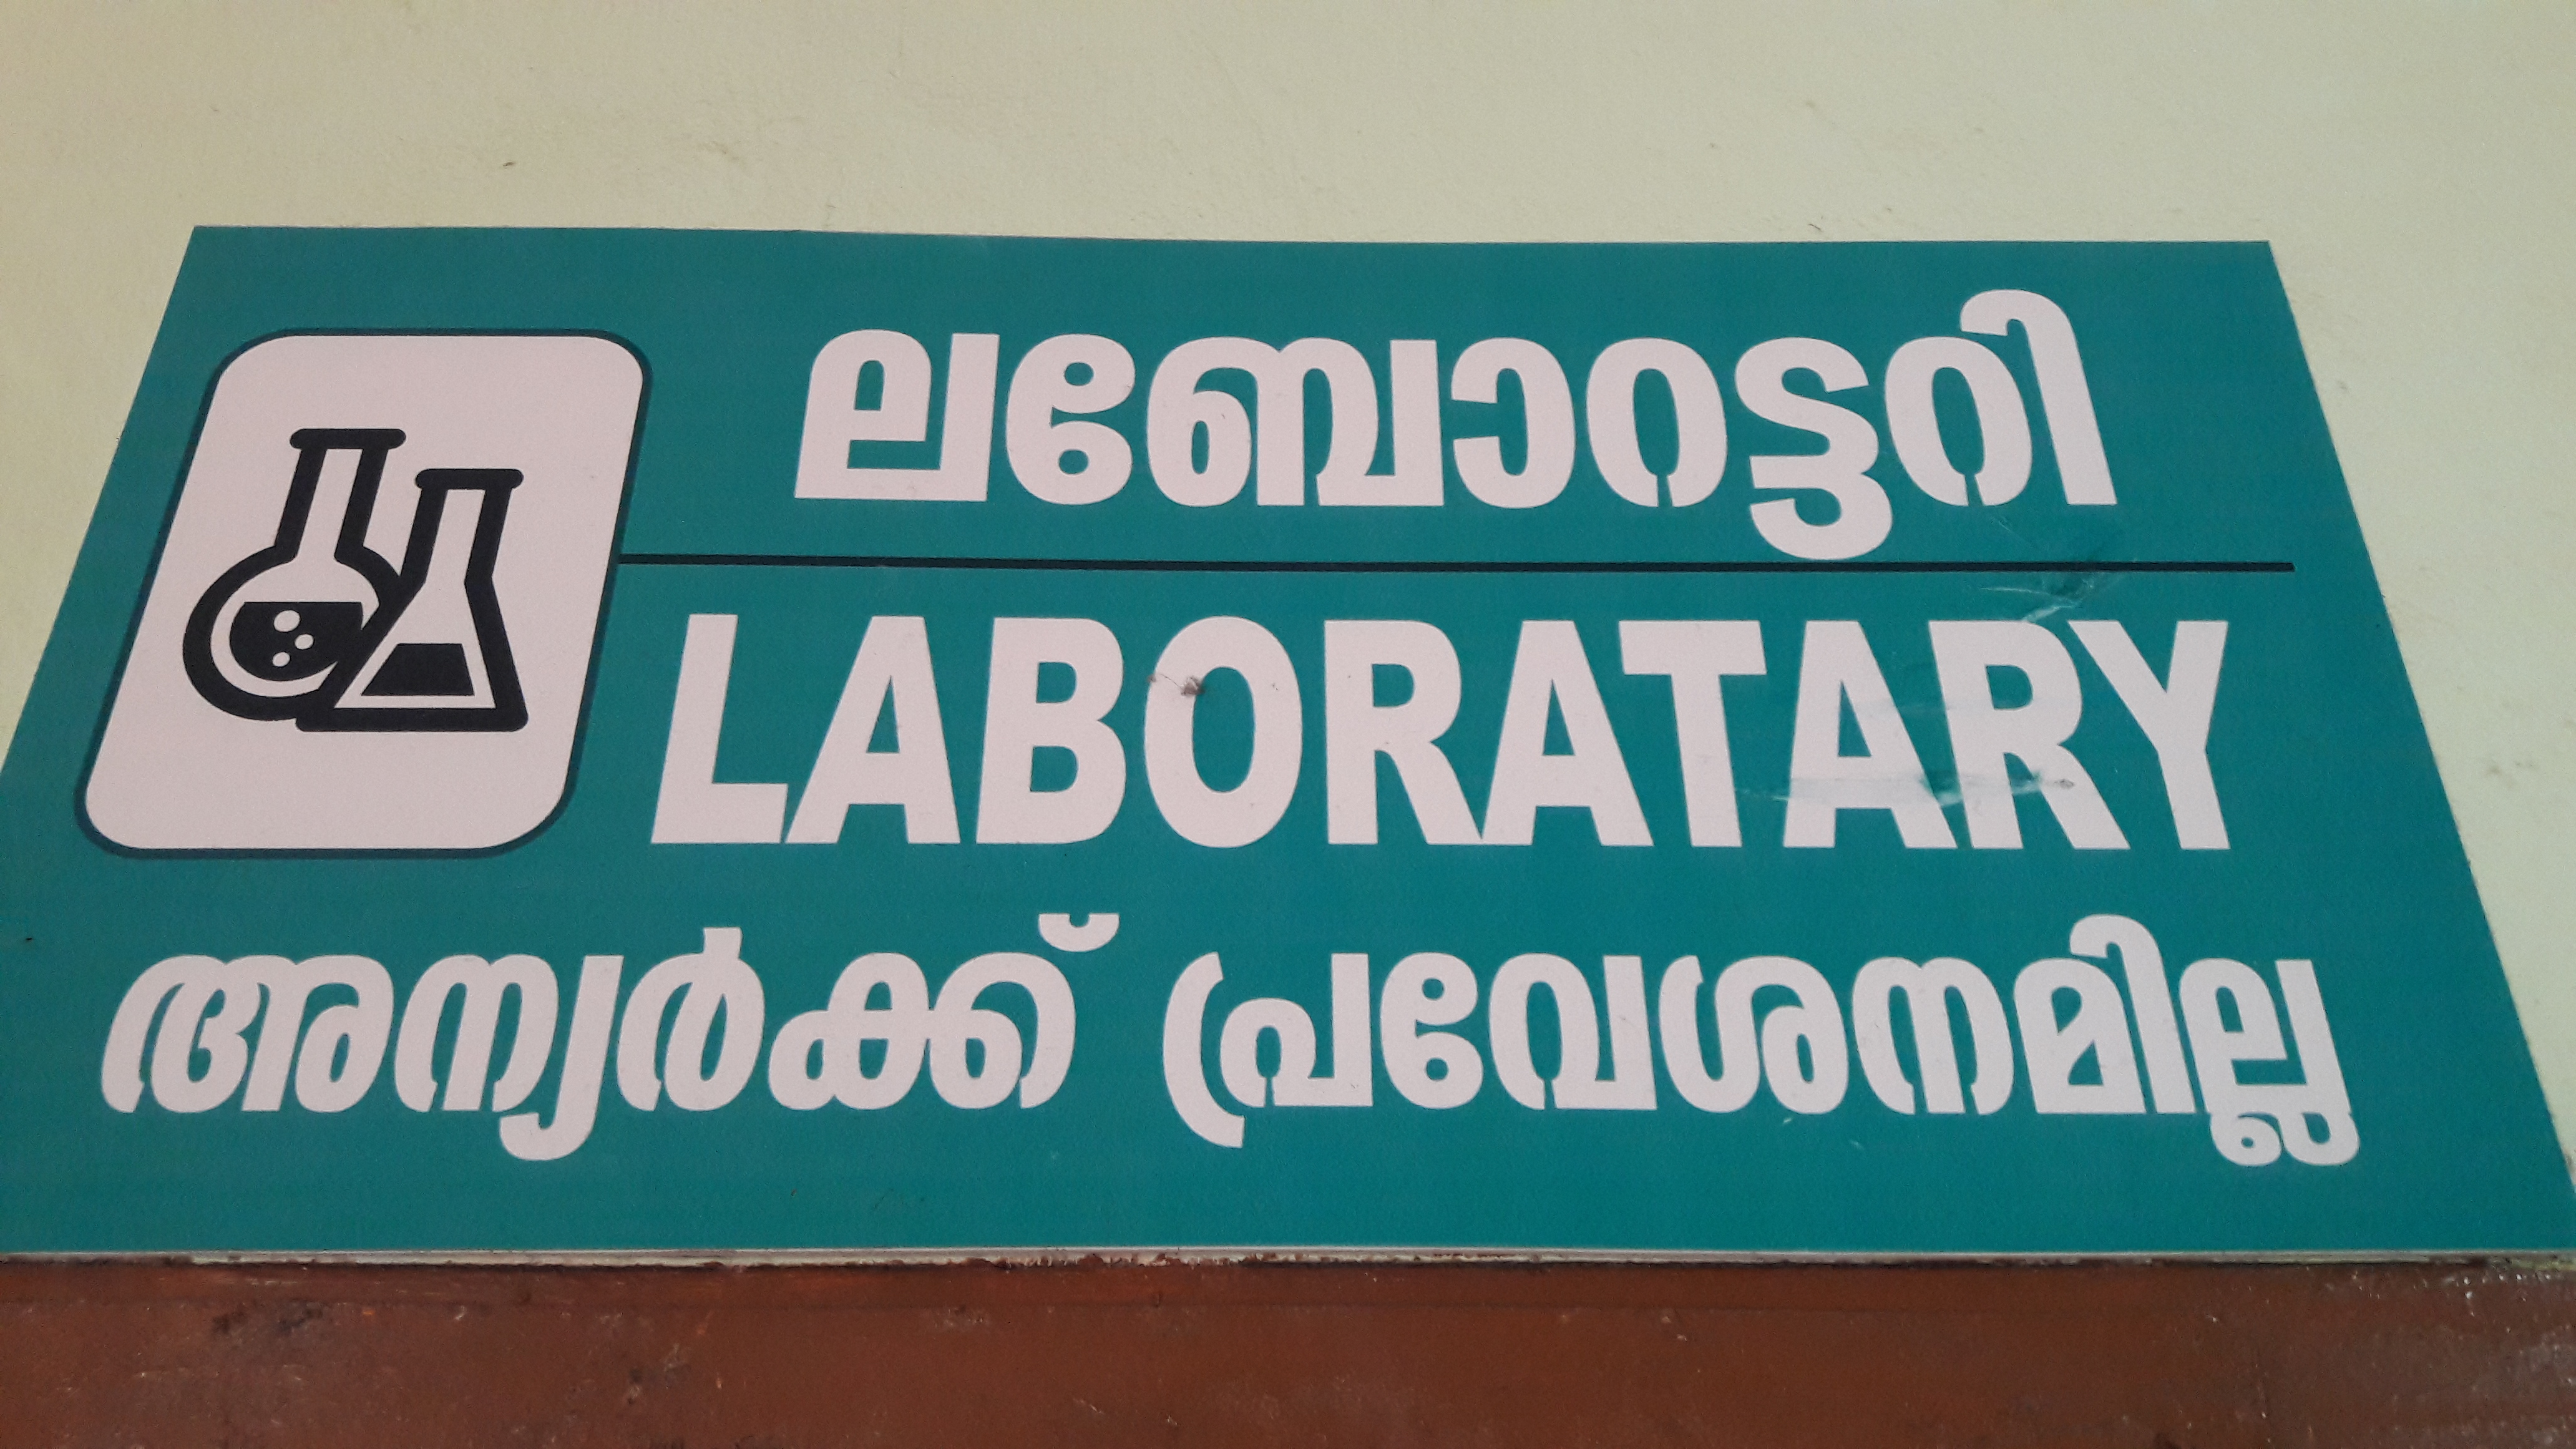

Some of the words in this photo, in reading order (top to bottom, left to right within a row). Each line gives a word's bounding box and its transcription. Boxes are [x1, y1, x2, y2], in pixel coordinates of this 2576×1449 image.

[786, 275, 2120, 565] ലബോറട്ടറി
[643, 605, 2240, 854] LABORATARY
[97, 902, 1125, 1174] അന്വർക്ക്
[1152, 895, 2365, 1178] പ്രവേശനമില്ല